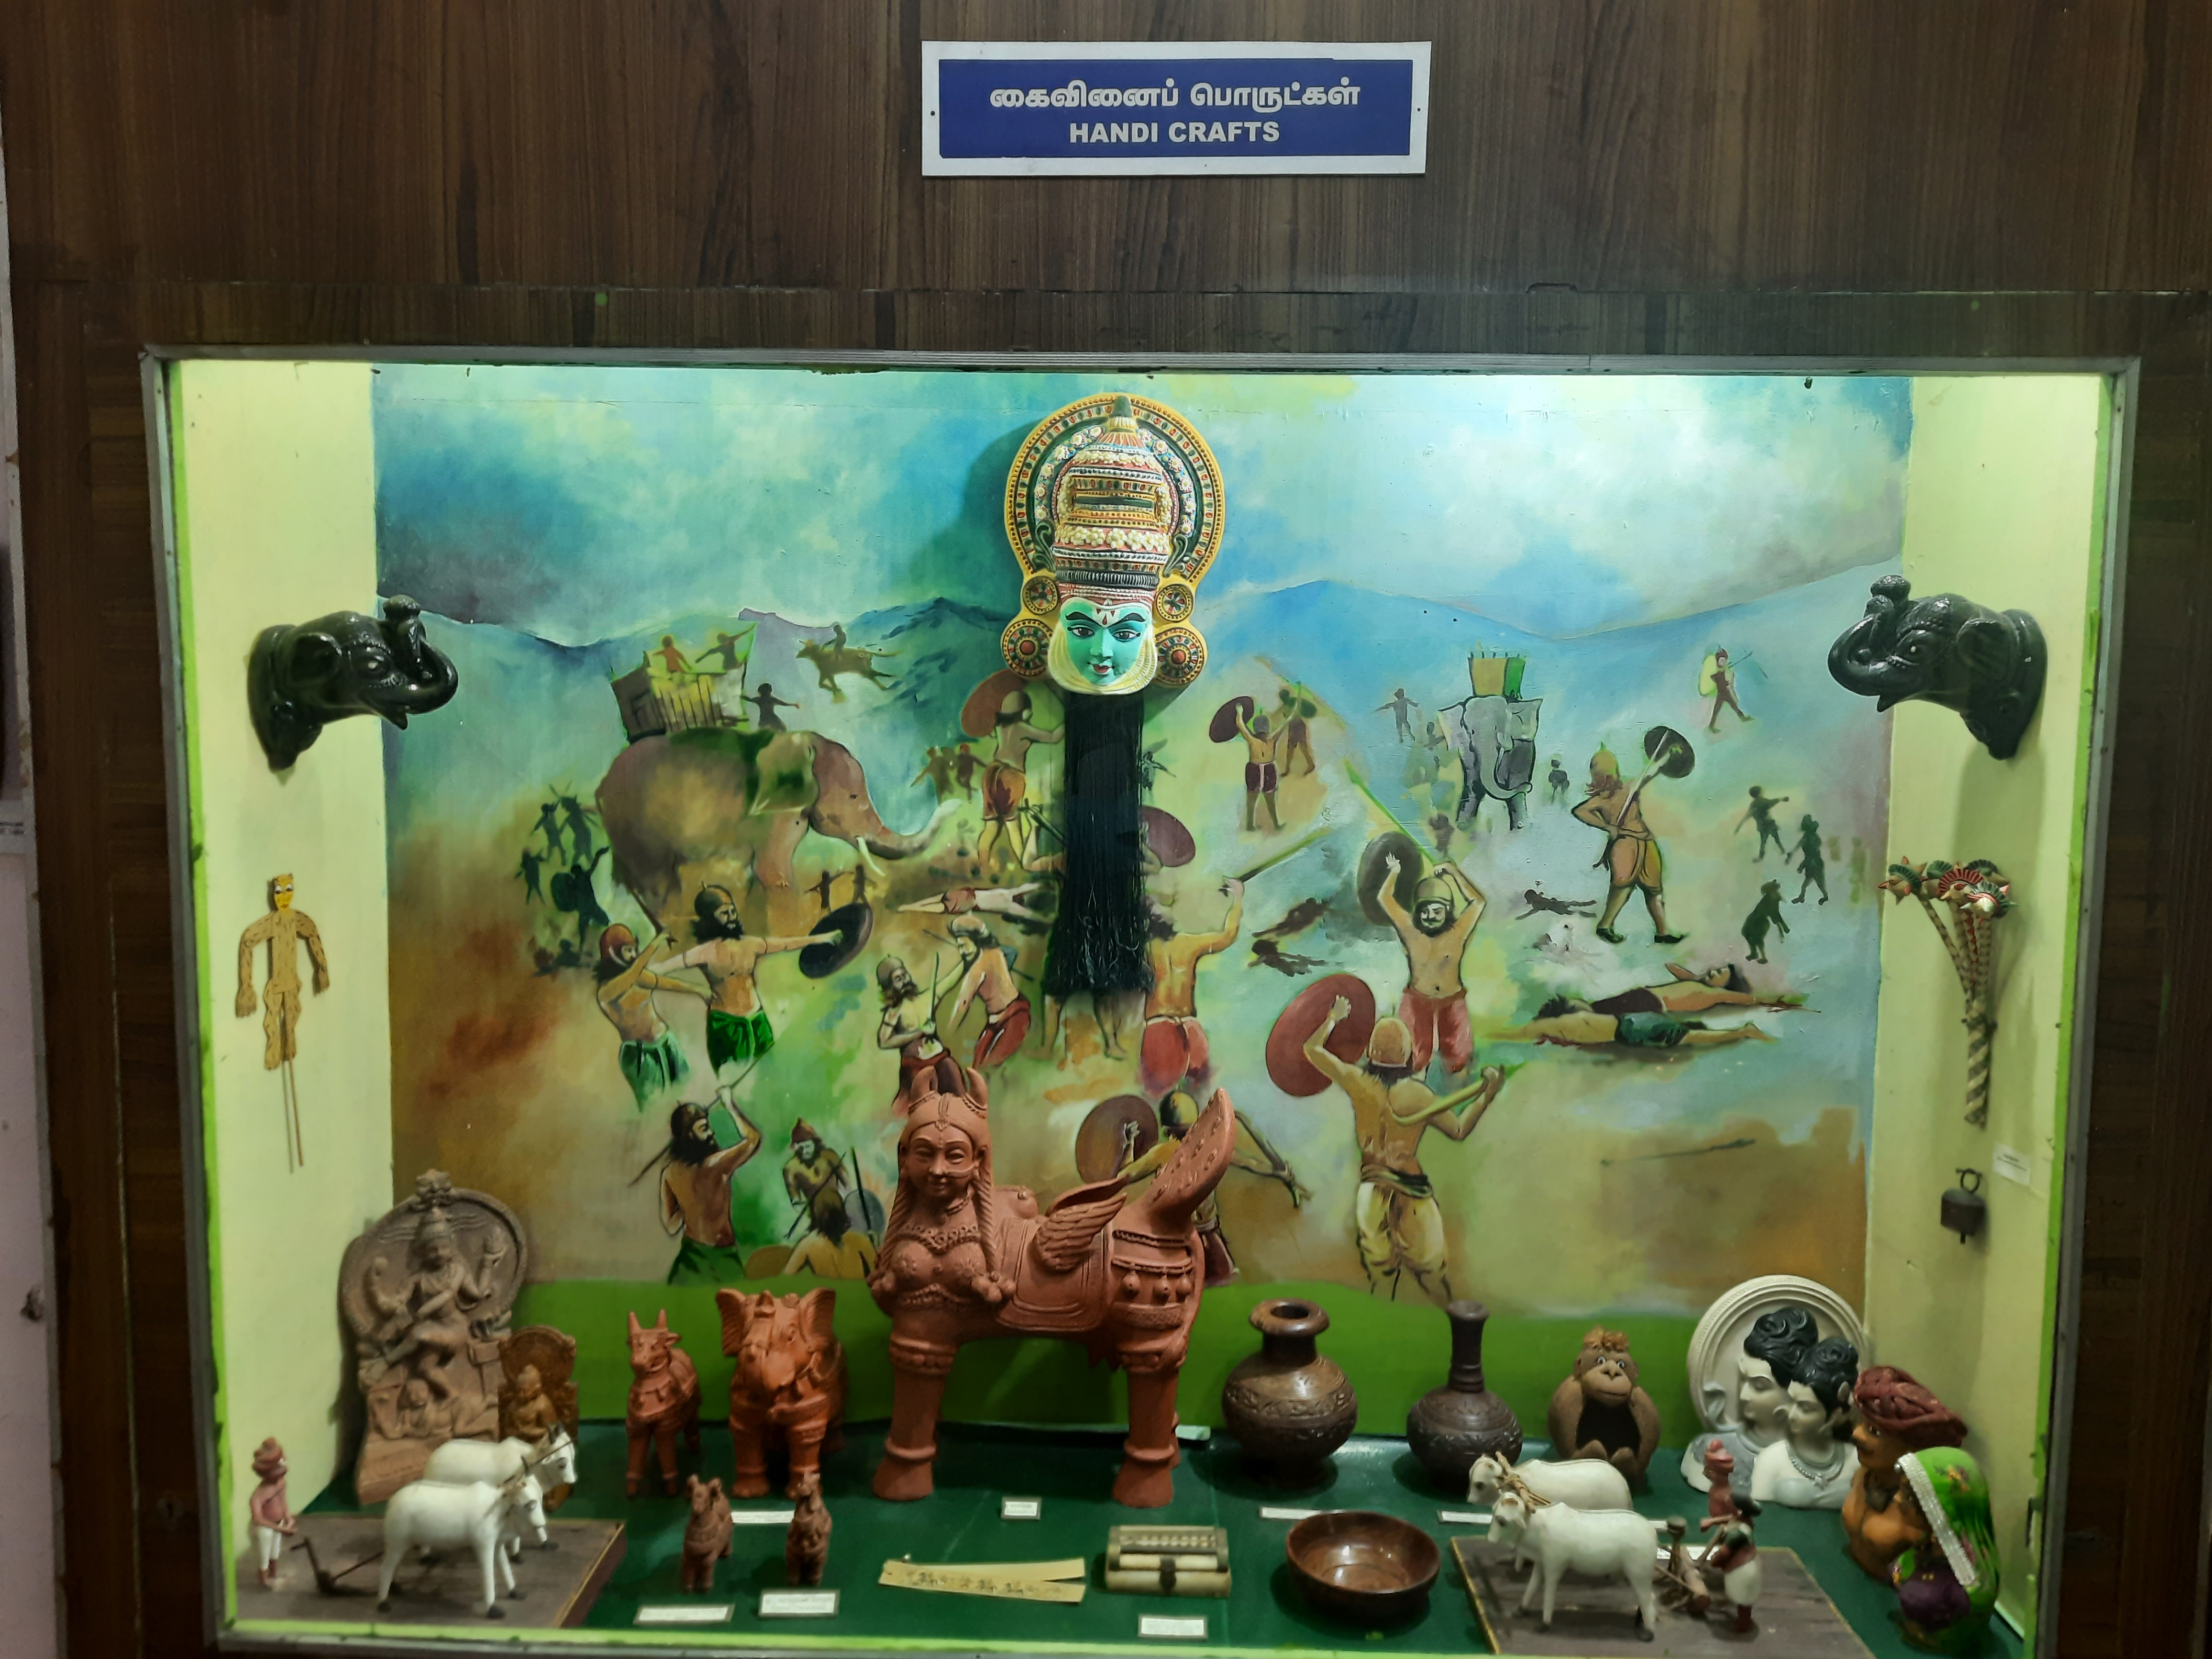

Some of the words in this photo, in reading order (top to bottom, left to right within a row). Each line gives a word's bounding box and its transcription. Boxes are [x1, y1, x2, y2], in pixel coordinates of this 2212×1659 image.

[984, 71, 1180, 110] கைவினனப்
[1186, 75, 1364, 117] பொருட்கள்
[1067, 119, 1160, 145] HANDI
[1165, 119, 1281, 146] CRAFTS